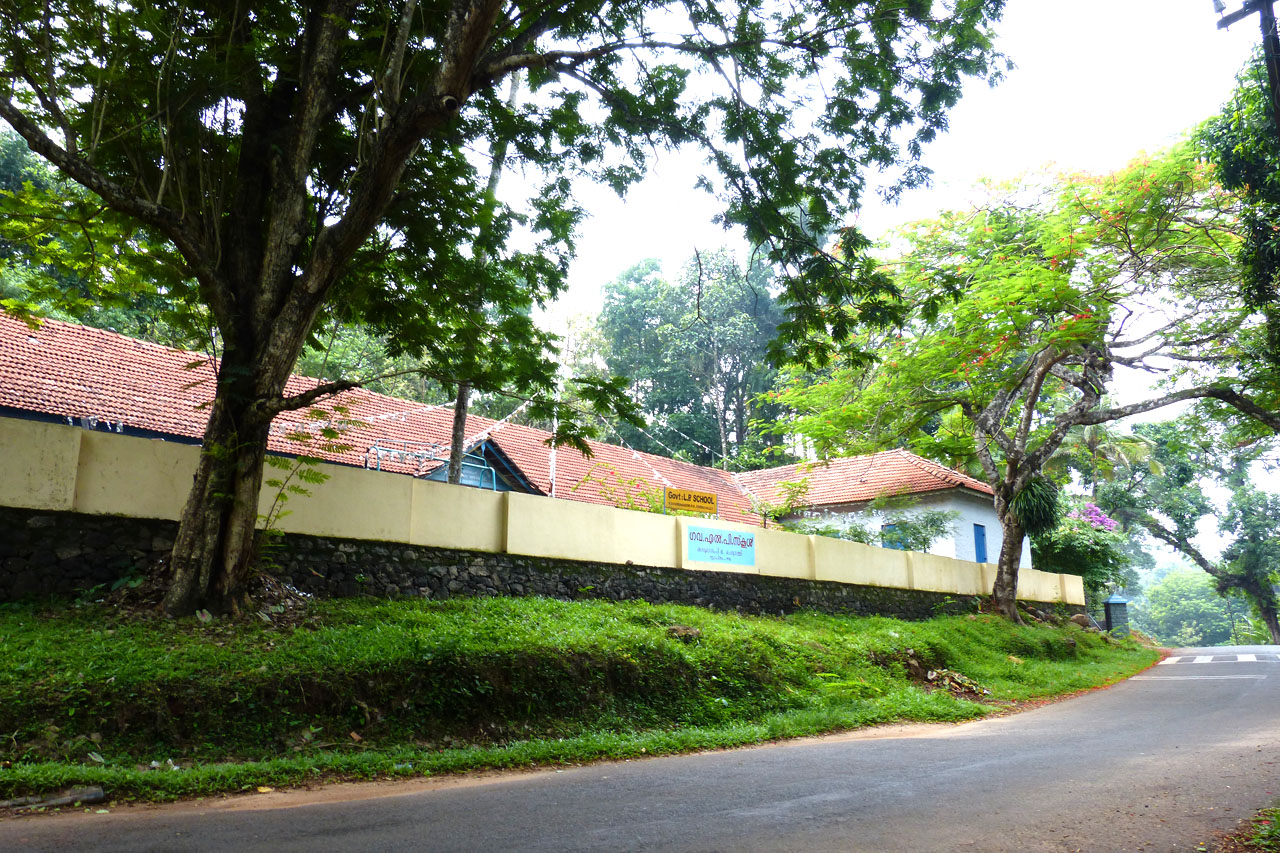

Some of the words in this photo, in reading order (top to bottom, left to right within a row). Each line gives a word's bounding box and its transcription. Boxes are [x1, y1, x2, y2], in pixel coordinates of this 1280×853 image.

[662, 485, 697, 505] Govt:LPS
[687, 489, 717, 511] SCHOOL
[683, 527, 758, 551] ഗവ.എൽ.പിൽകൂടി